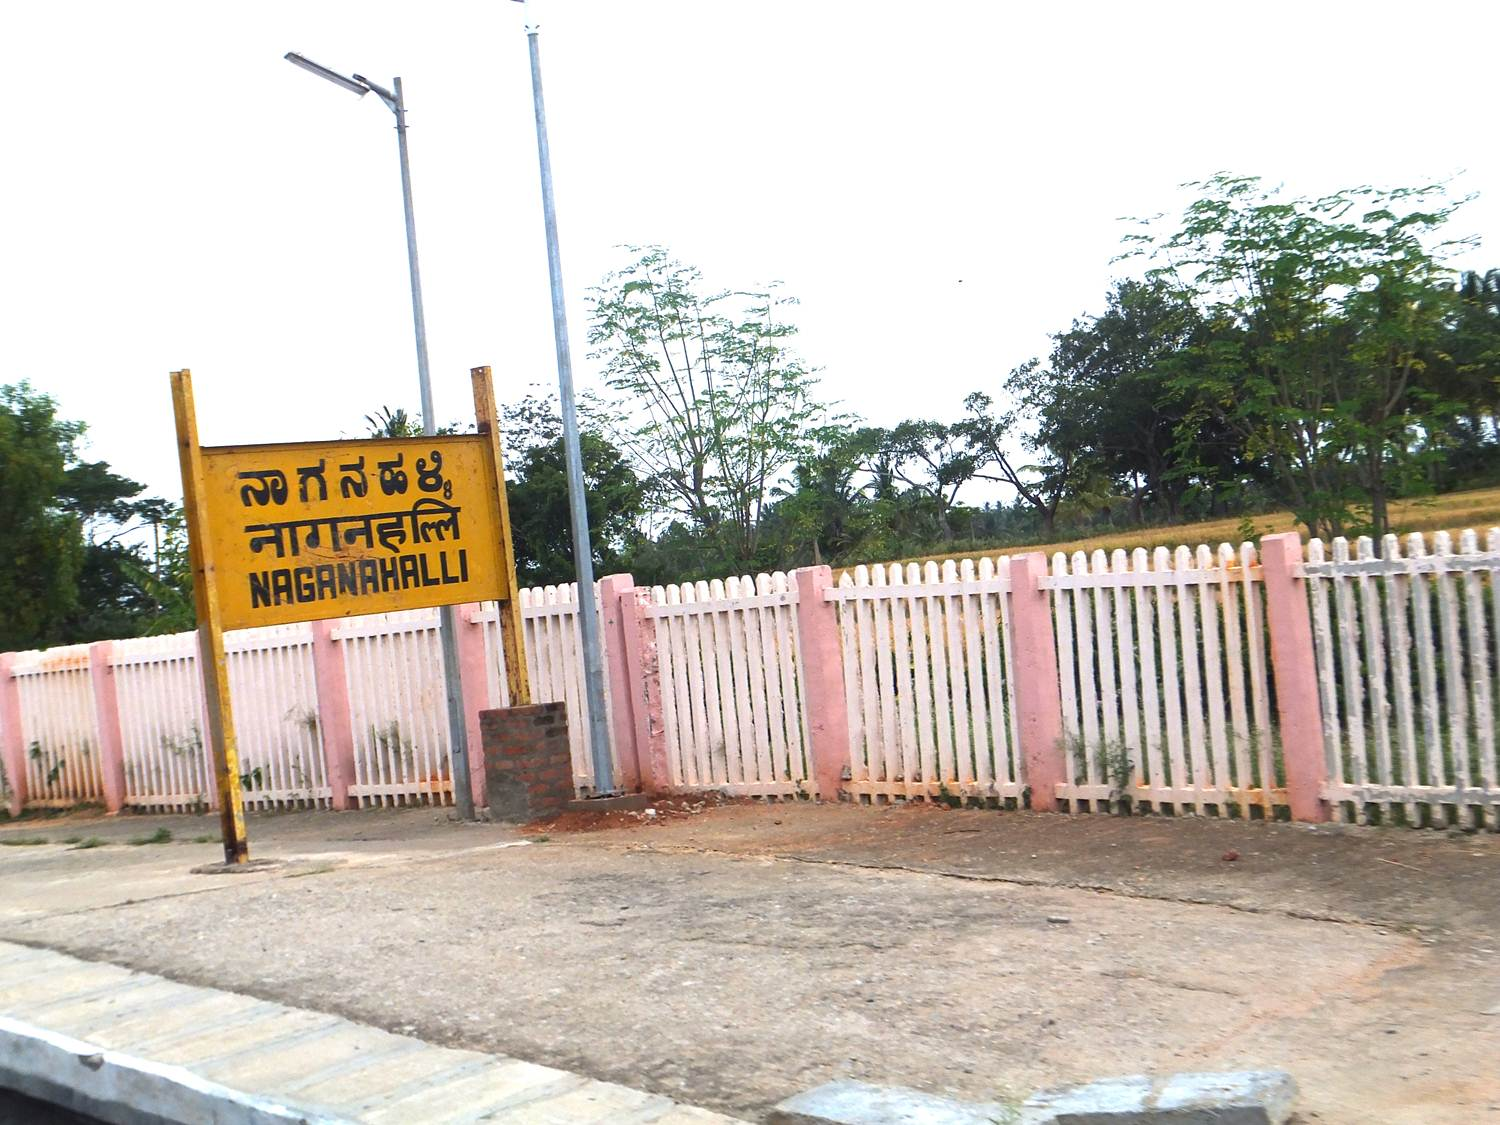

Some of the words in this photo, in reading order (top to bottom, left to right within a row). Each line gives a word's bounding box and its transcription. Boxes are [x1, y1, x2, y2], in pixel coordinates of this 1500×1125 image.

[229, 443, 457, 513] ನಾಗನಹಳ್ಳಿ
[239, 491, 464, 562] नागनहल्लि
[245, 545, 472, 613] NAGANAHALLI